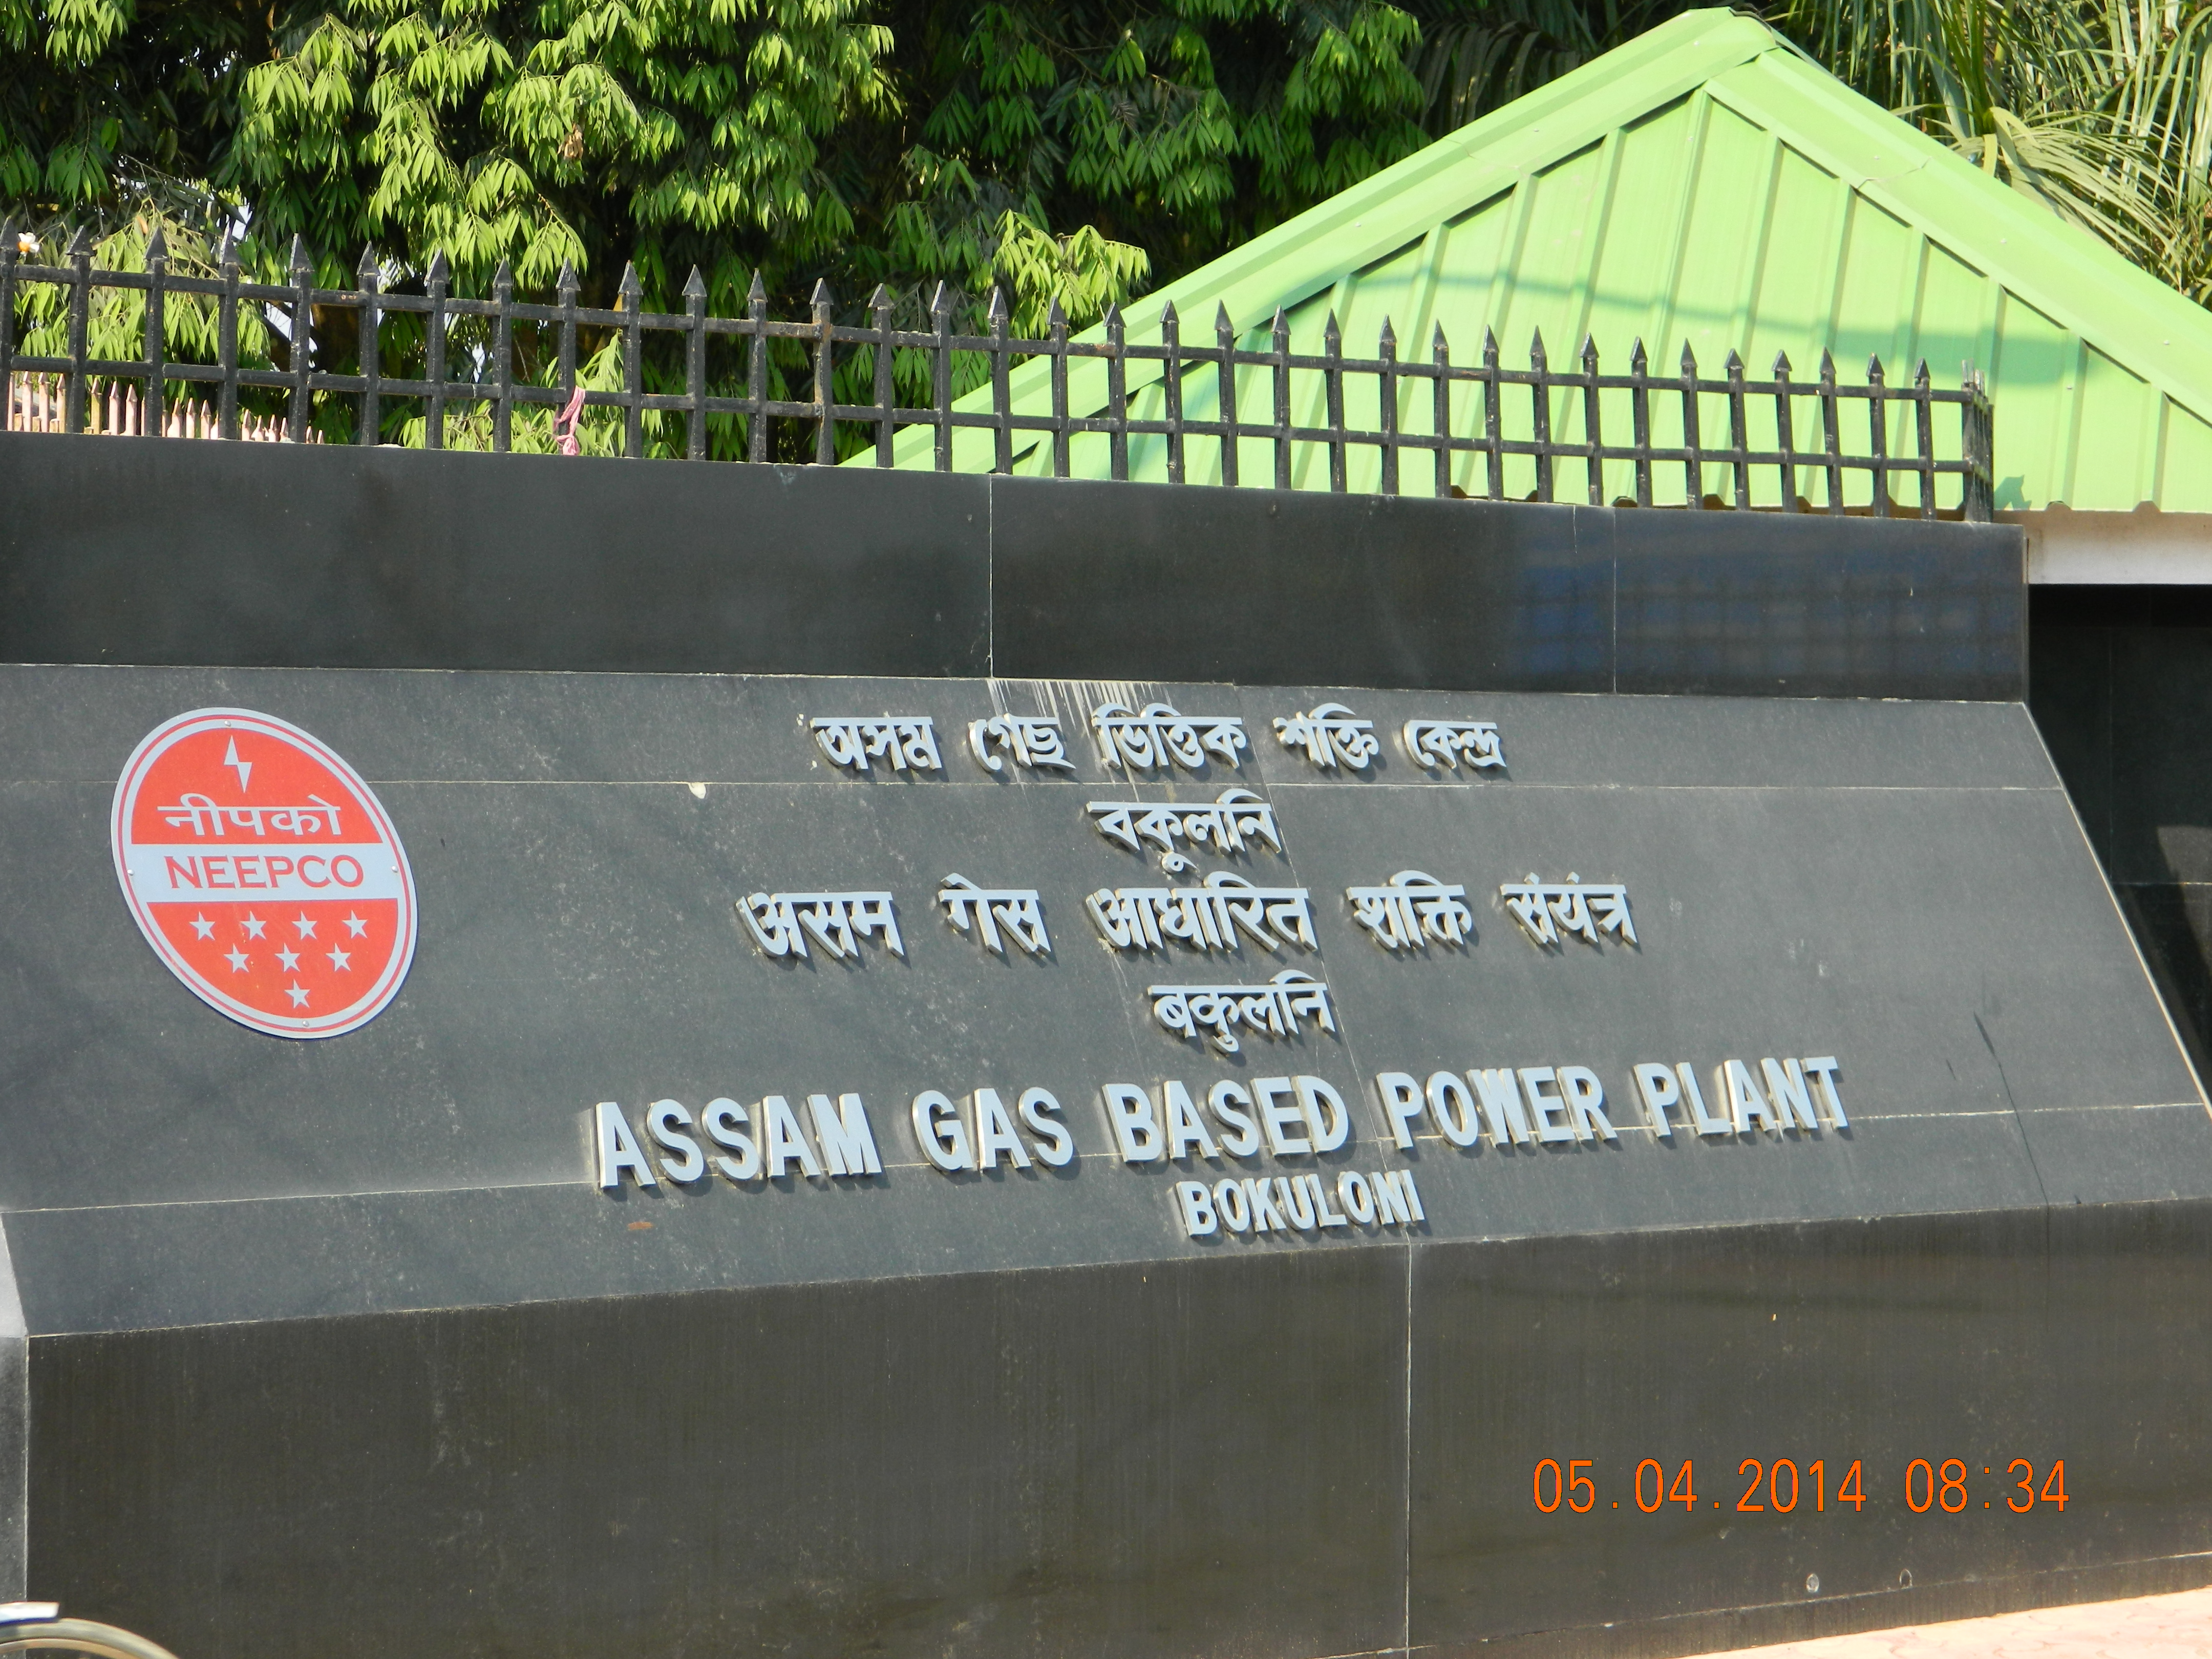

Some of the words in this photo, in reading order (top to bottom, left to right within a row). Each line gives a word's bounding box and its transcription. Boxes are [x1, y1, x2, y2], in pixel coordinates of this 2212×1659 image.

[810, 704, 949, 775] অসম
[958, 698, 1080, 780] গেছ
[1078, 691, 1259, 776] ভিত্তিক
[1270, 692, 1392, 779] শক্তি
[1397, 715, 1513, 774] কেন্দ্র
[158, 789, 344, 843] नीपको
[161, 848, 370, 897] NEEPCO
[729, 879, 907, 971] असम
[917, 868, 1061, 971] गेस
[1078, 782, 1288, 880] বকুলনি
[1083, 865, 1321, 956] आधारित
[1331, 868, 1476, 958] शक्ति
[1496, 868, 1639, 958] संयंत्र
[1147, 961, 1339, 1059] बकुलनि
[576, 1084, 885, 1195] ASSAM
[903, 1073, 1083, 1186] GAS
[1099, 1069, 1351, 1172] BASED
[1374, 1059, 1617, 1152] POWER
[1632, 1048, 1851, 1145] PLANT
[1174, 1161, 1429, 1240] BOKULONI
[1527, 1453, 1869, 1516] 05.04.2014
[1896, 1449, 2071, 1520] 08:34